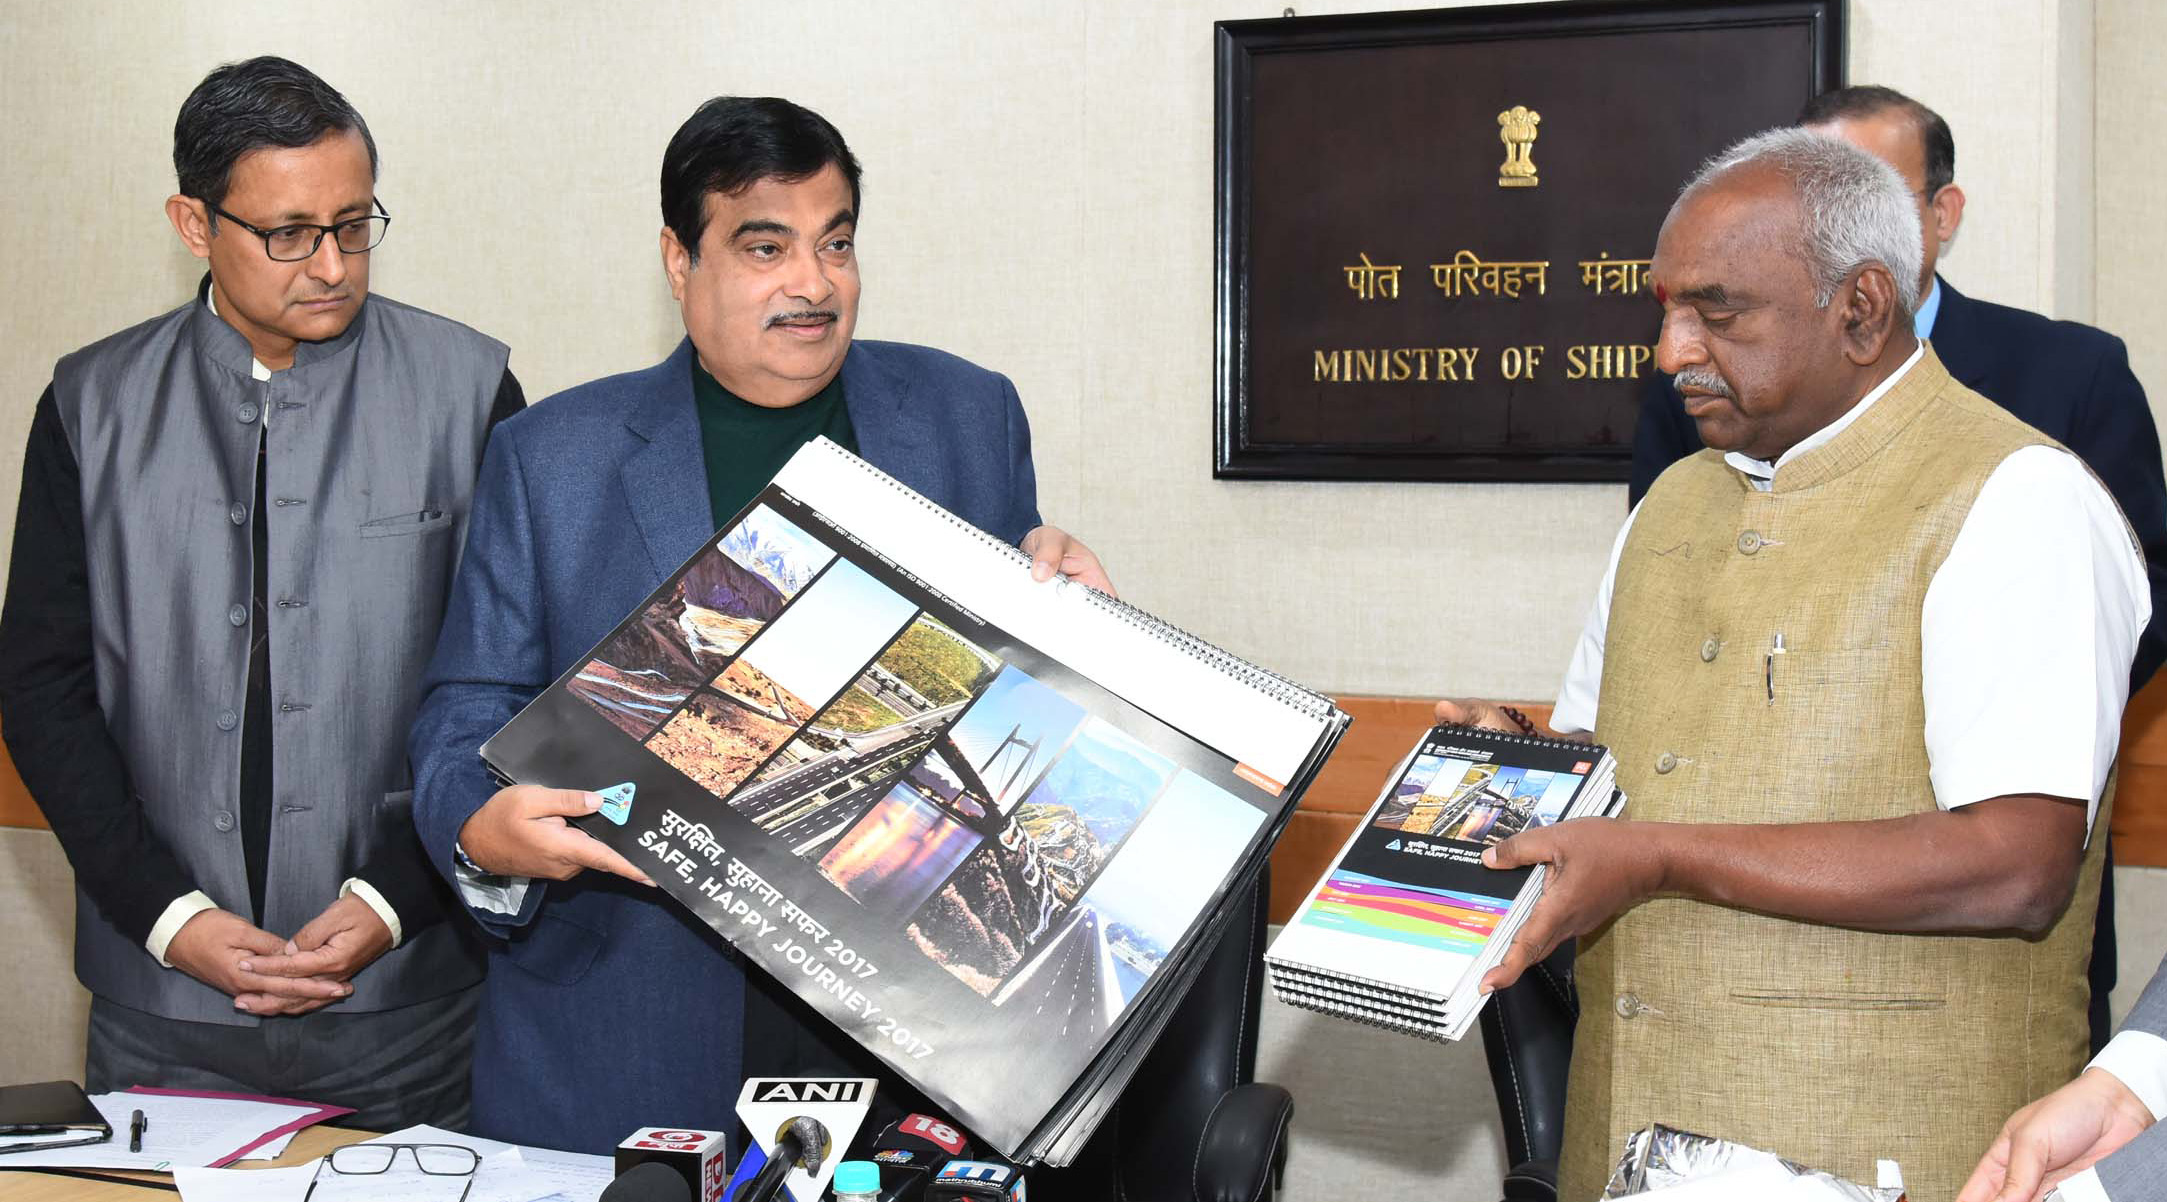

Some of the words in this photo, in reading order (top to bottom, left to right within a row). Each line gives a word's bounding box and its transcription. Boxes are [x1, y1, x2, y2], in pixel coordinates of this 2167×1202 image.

[1337, 247, 1411, 309] पोत
[1427, 248, 1553, 302] परिवहन
[1577, 252, 1651, 299] मंत्रालय
[1306, 341, 1486, 388] MINISTRY
[1497, 343, 1549, 388] OF
[1561, 337, 1661, 385] SHIP
[629, 825, 703, 887] अयाना
[652, 804, 729, 869] सुरक्षित,
[694, 871, 783, 945] HAPPY
[718, 854, 789, 913] सुहाना
[771, 895, 835, 949] सफर
[766, 933, 889, 1028] JOURNEY
[819, 931, 883, 984] 2017
[867, 1011, 941, 1065] 2017
[755, 1077, 859, 1107] ANI